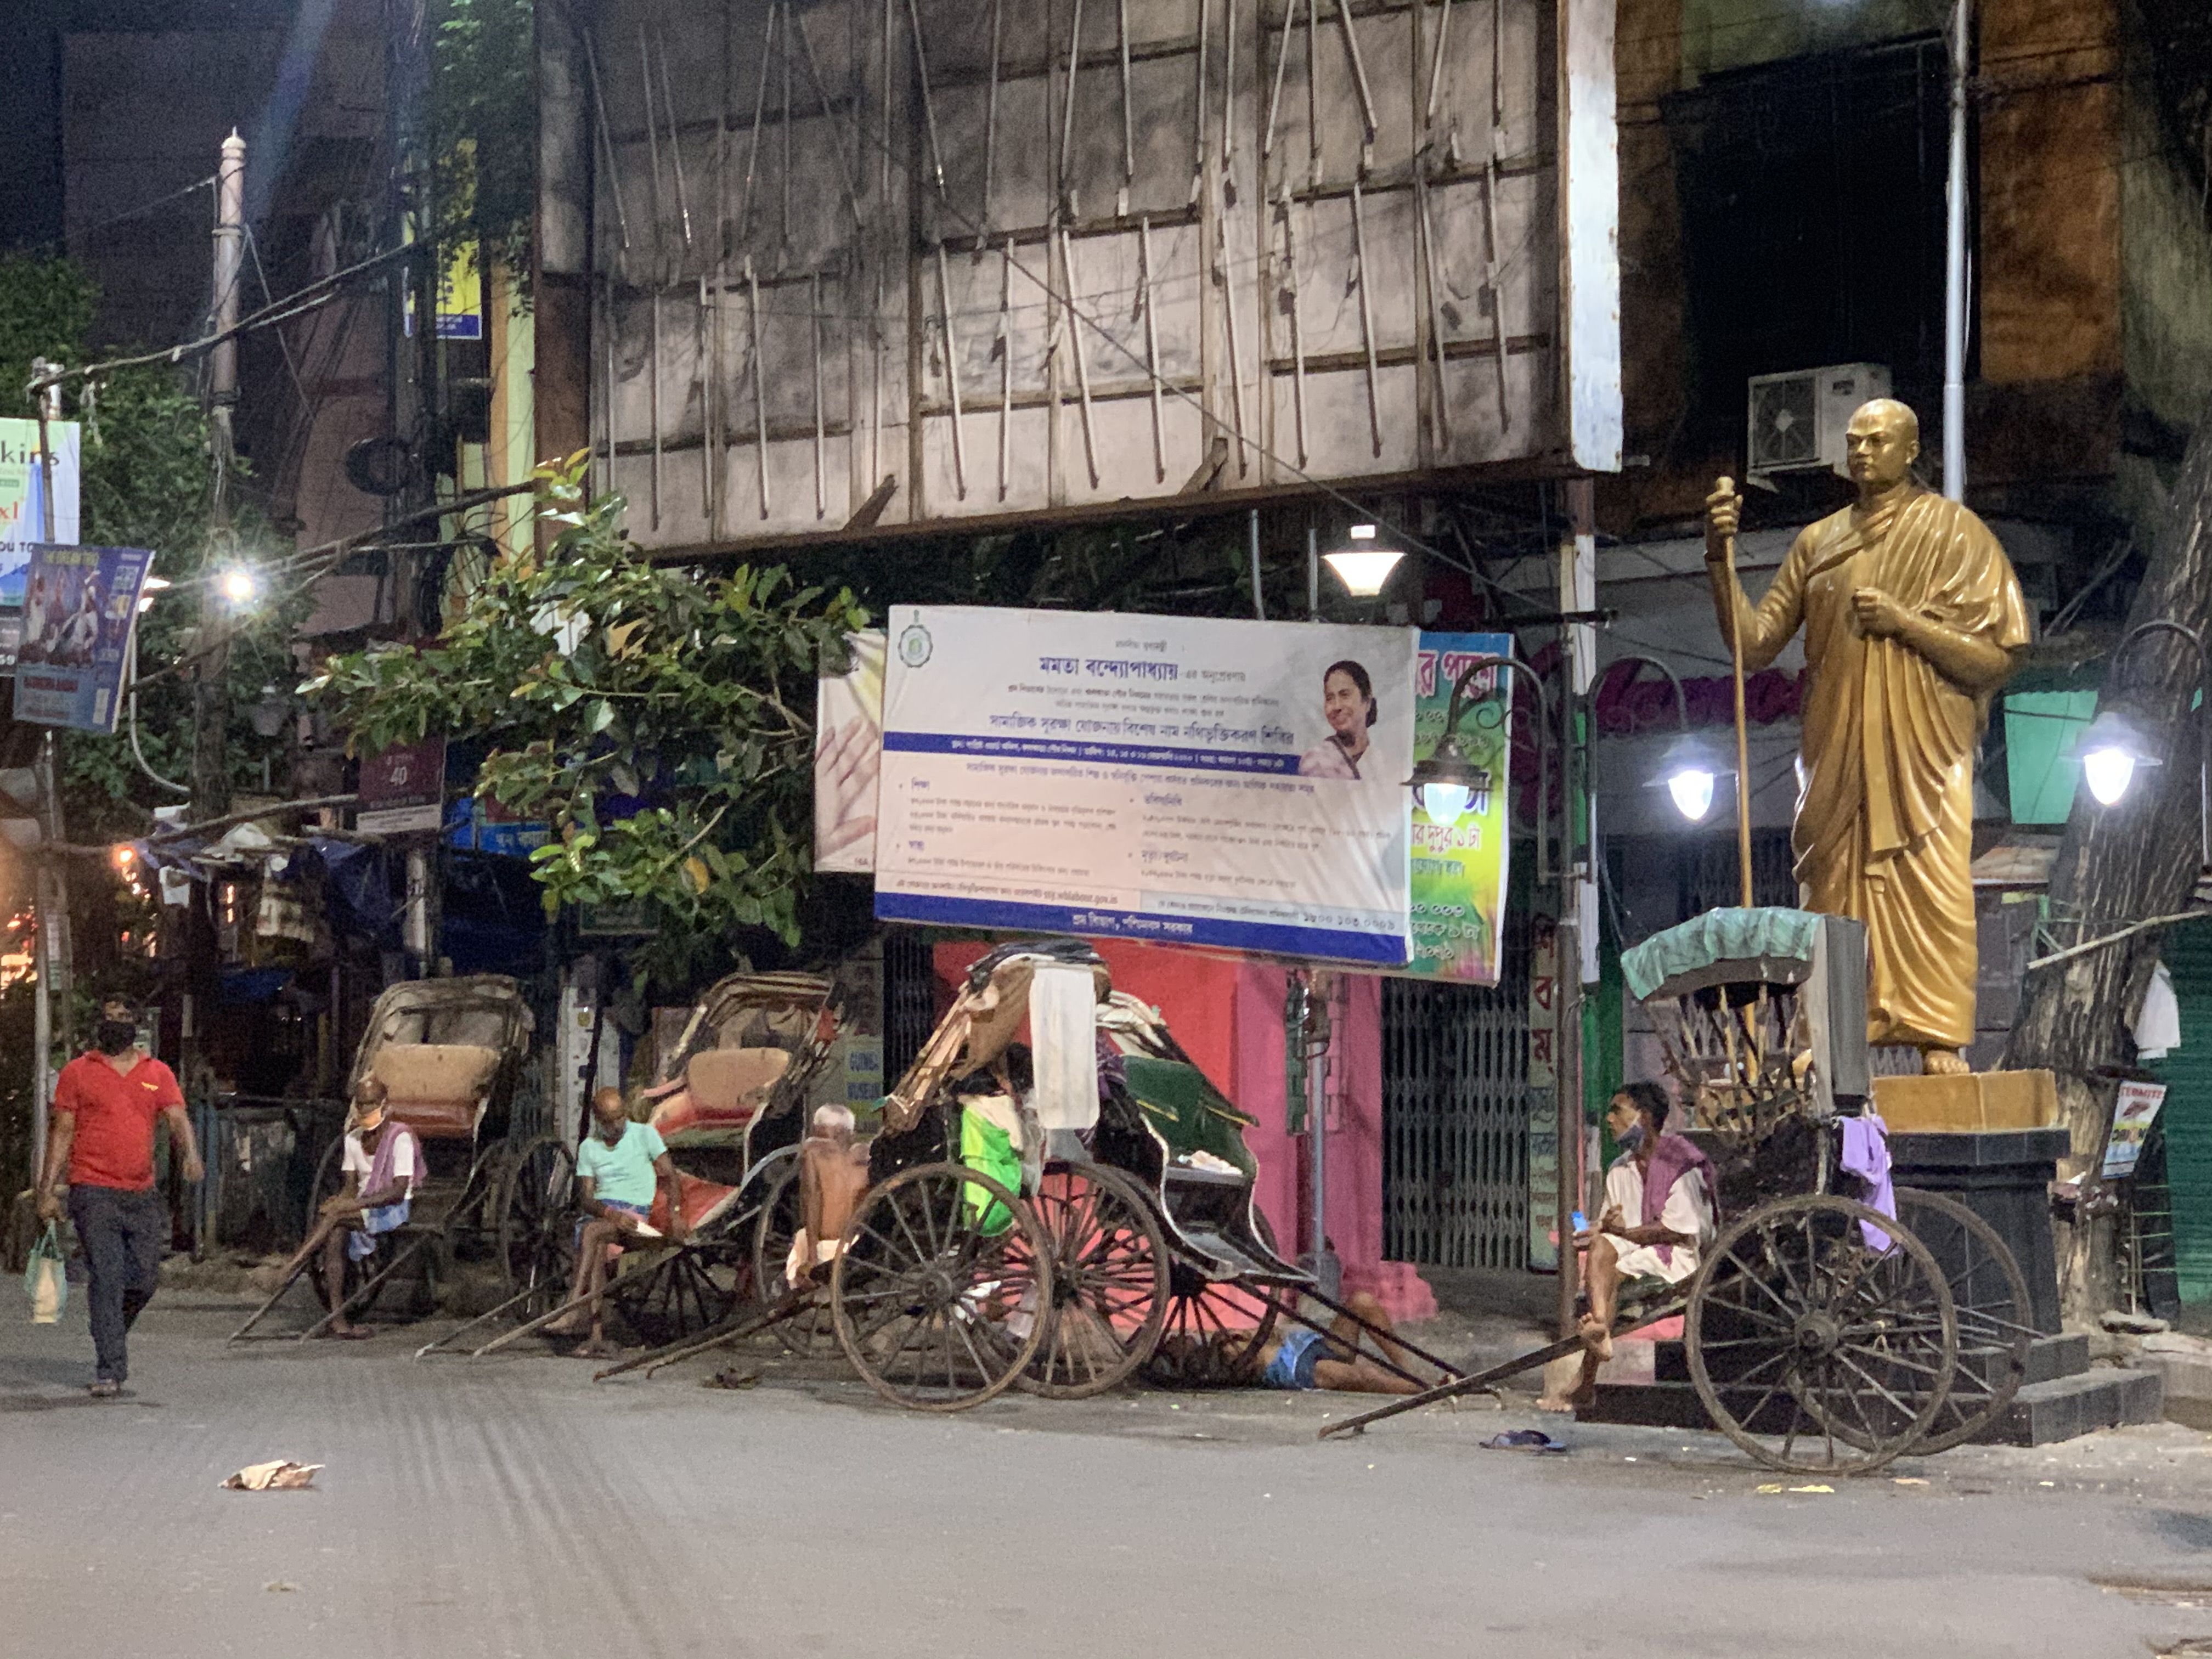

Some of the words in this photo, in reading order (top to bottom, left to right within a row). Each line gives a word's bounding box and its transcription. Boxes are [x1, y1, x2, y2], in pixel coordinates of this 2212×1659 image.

[1030, 650, 1083, 676] মমতা
[1081, 654, 1181, 685] বন্দ্যোপাধ্যায়
[986, 709, 1039, 733] স্যমাজিক
[1069, 713, 1159, 739] যোজনায় বিশেষ
[1157, 721, 1183, 744] নাম
[1178, 716, 1258, 749] নথিভুক্তিকরণ
[1425, 816, 1483, 860] দুপুর ১ টা